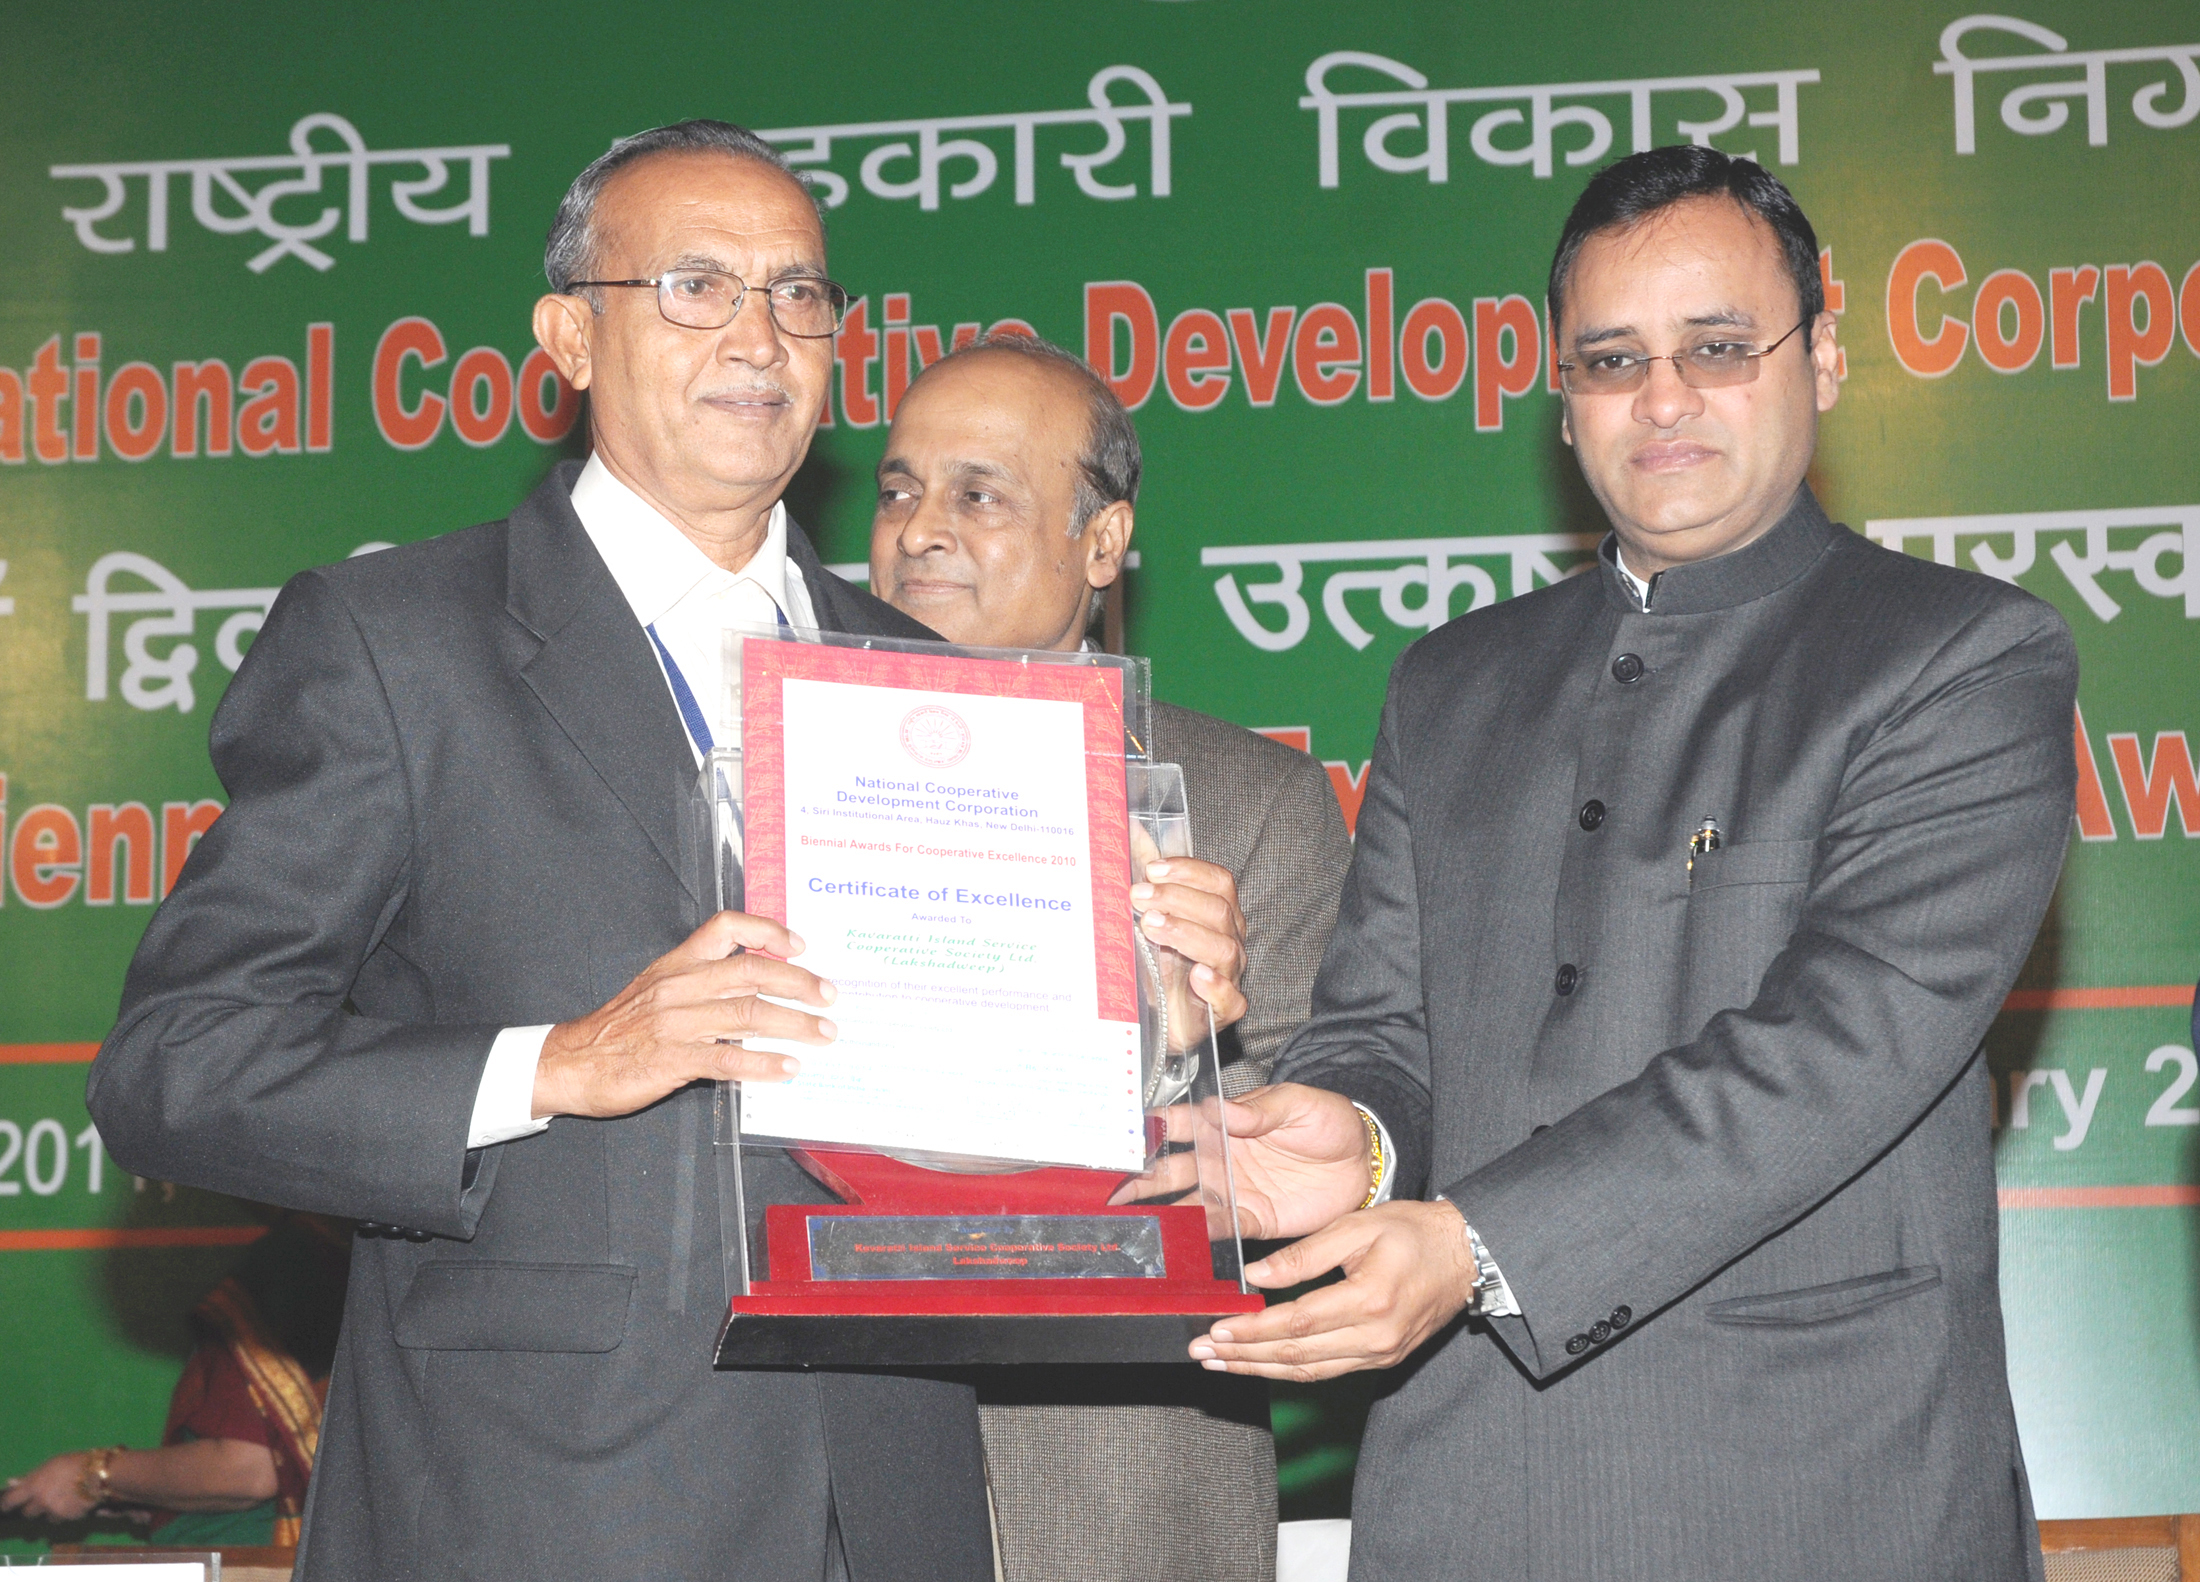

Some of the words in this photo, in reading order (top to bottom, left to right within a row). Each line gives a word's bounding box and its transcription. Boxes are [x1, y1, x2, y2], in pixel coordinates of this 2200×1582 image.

[1927, 11, 2200, 166] निग्
[1296, 47, 1827, 193] विकास
[762, 59, 1194, 221] कारी
[49, 100, 511, 281] राष्ट्रीय
[1880, 228, 2196, 415] Corp
[1081, 264, 1546, 433] Develop
[0, 316, 342, 479] ational
[361, 301, 589, 469] Coo
[59, 529, 302, 722] द्वि
[850, 772, 925, 796] National
[834, 787, 943, 815] Development
[923, 776, 1022, 807] Cooperative
[943, 795, 1044, 822] Corporation.
[0, 789, 211, 922] en
[799, 833, 850, 854] Biennial
[843, 837, 894, 857] Awards
[891, 839, 919, 861] For
[914, 843, 988, 862] Cooperative
[983, 845, 1052, 868] Excellence|
[803, 875, 925, 907] Certificate
[923, 882, 952, 909] of
[954, 883, 1074, 919] Excellence
[908, 912, 961, 927] Awarded
[958, 912, 978, 928] To
[843, 926, 923, 950] Kavaratti
[843, 939, 938, 962] Cooperative
[923, 931, 982, 950] Island
[940, 946, 1008, 968] Society
[981, 936, 1041, 957] Service
[928, 978, 983, 999] excellent